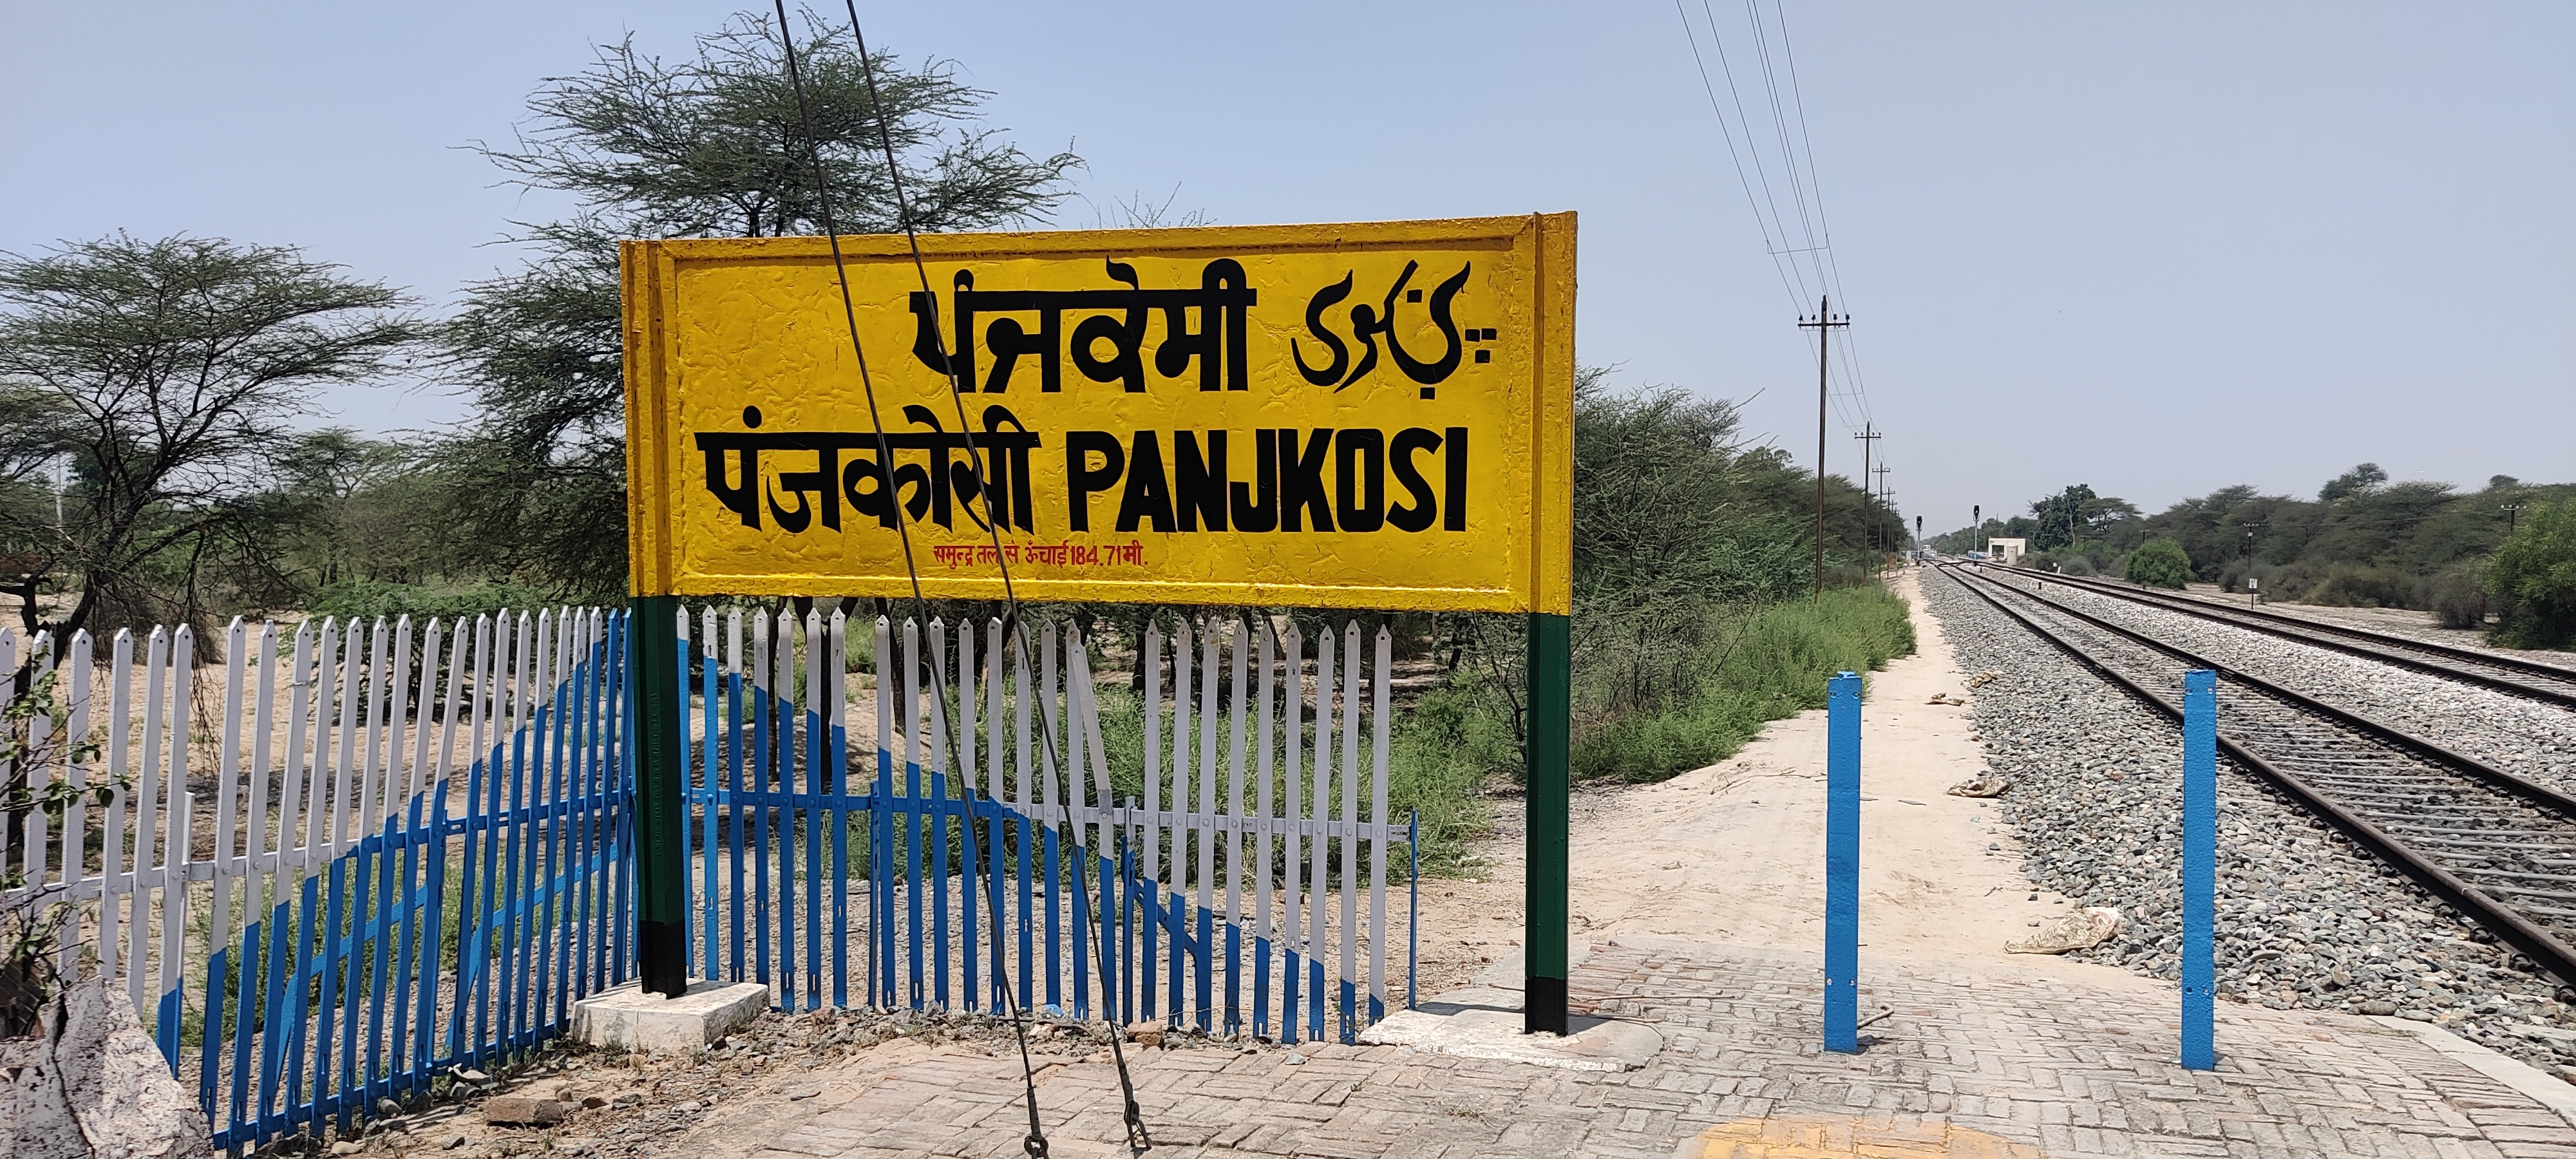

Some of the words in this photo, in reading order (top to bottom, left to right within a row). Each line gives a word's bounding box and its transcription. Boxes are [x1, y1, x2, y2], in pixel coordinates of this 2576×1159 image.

[891, 249, 1278, 415] ਪੰਜਕੇਸੀ
[680, 385, 1057, 546] पंजकोसी
[1056, 416, 1484, 554] PANJKOSI
[929, 541, 977, 574] समुन्द्र
[974, 542, 999, 569] तल
[1002, 536, 1023, 569] से
[1021, 537, 1072, 571] ऊँचाई
[1068, 543, 1122, 574] 184.71
[1121, 538, 1150, 570] मी.